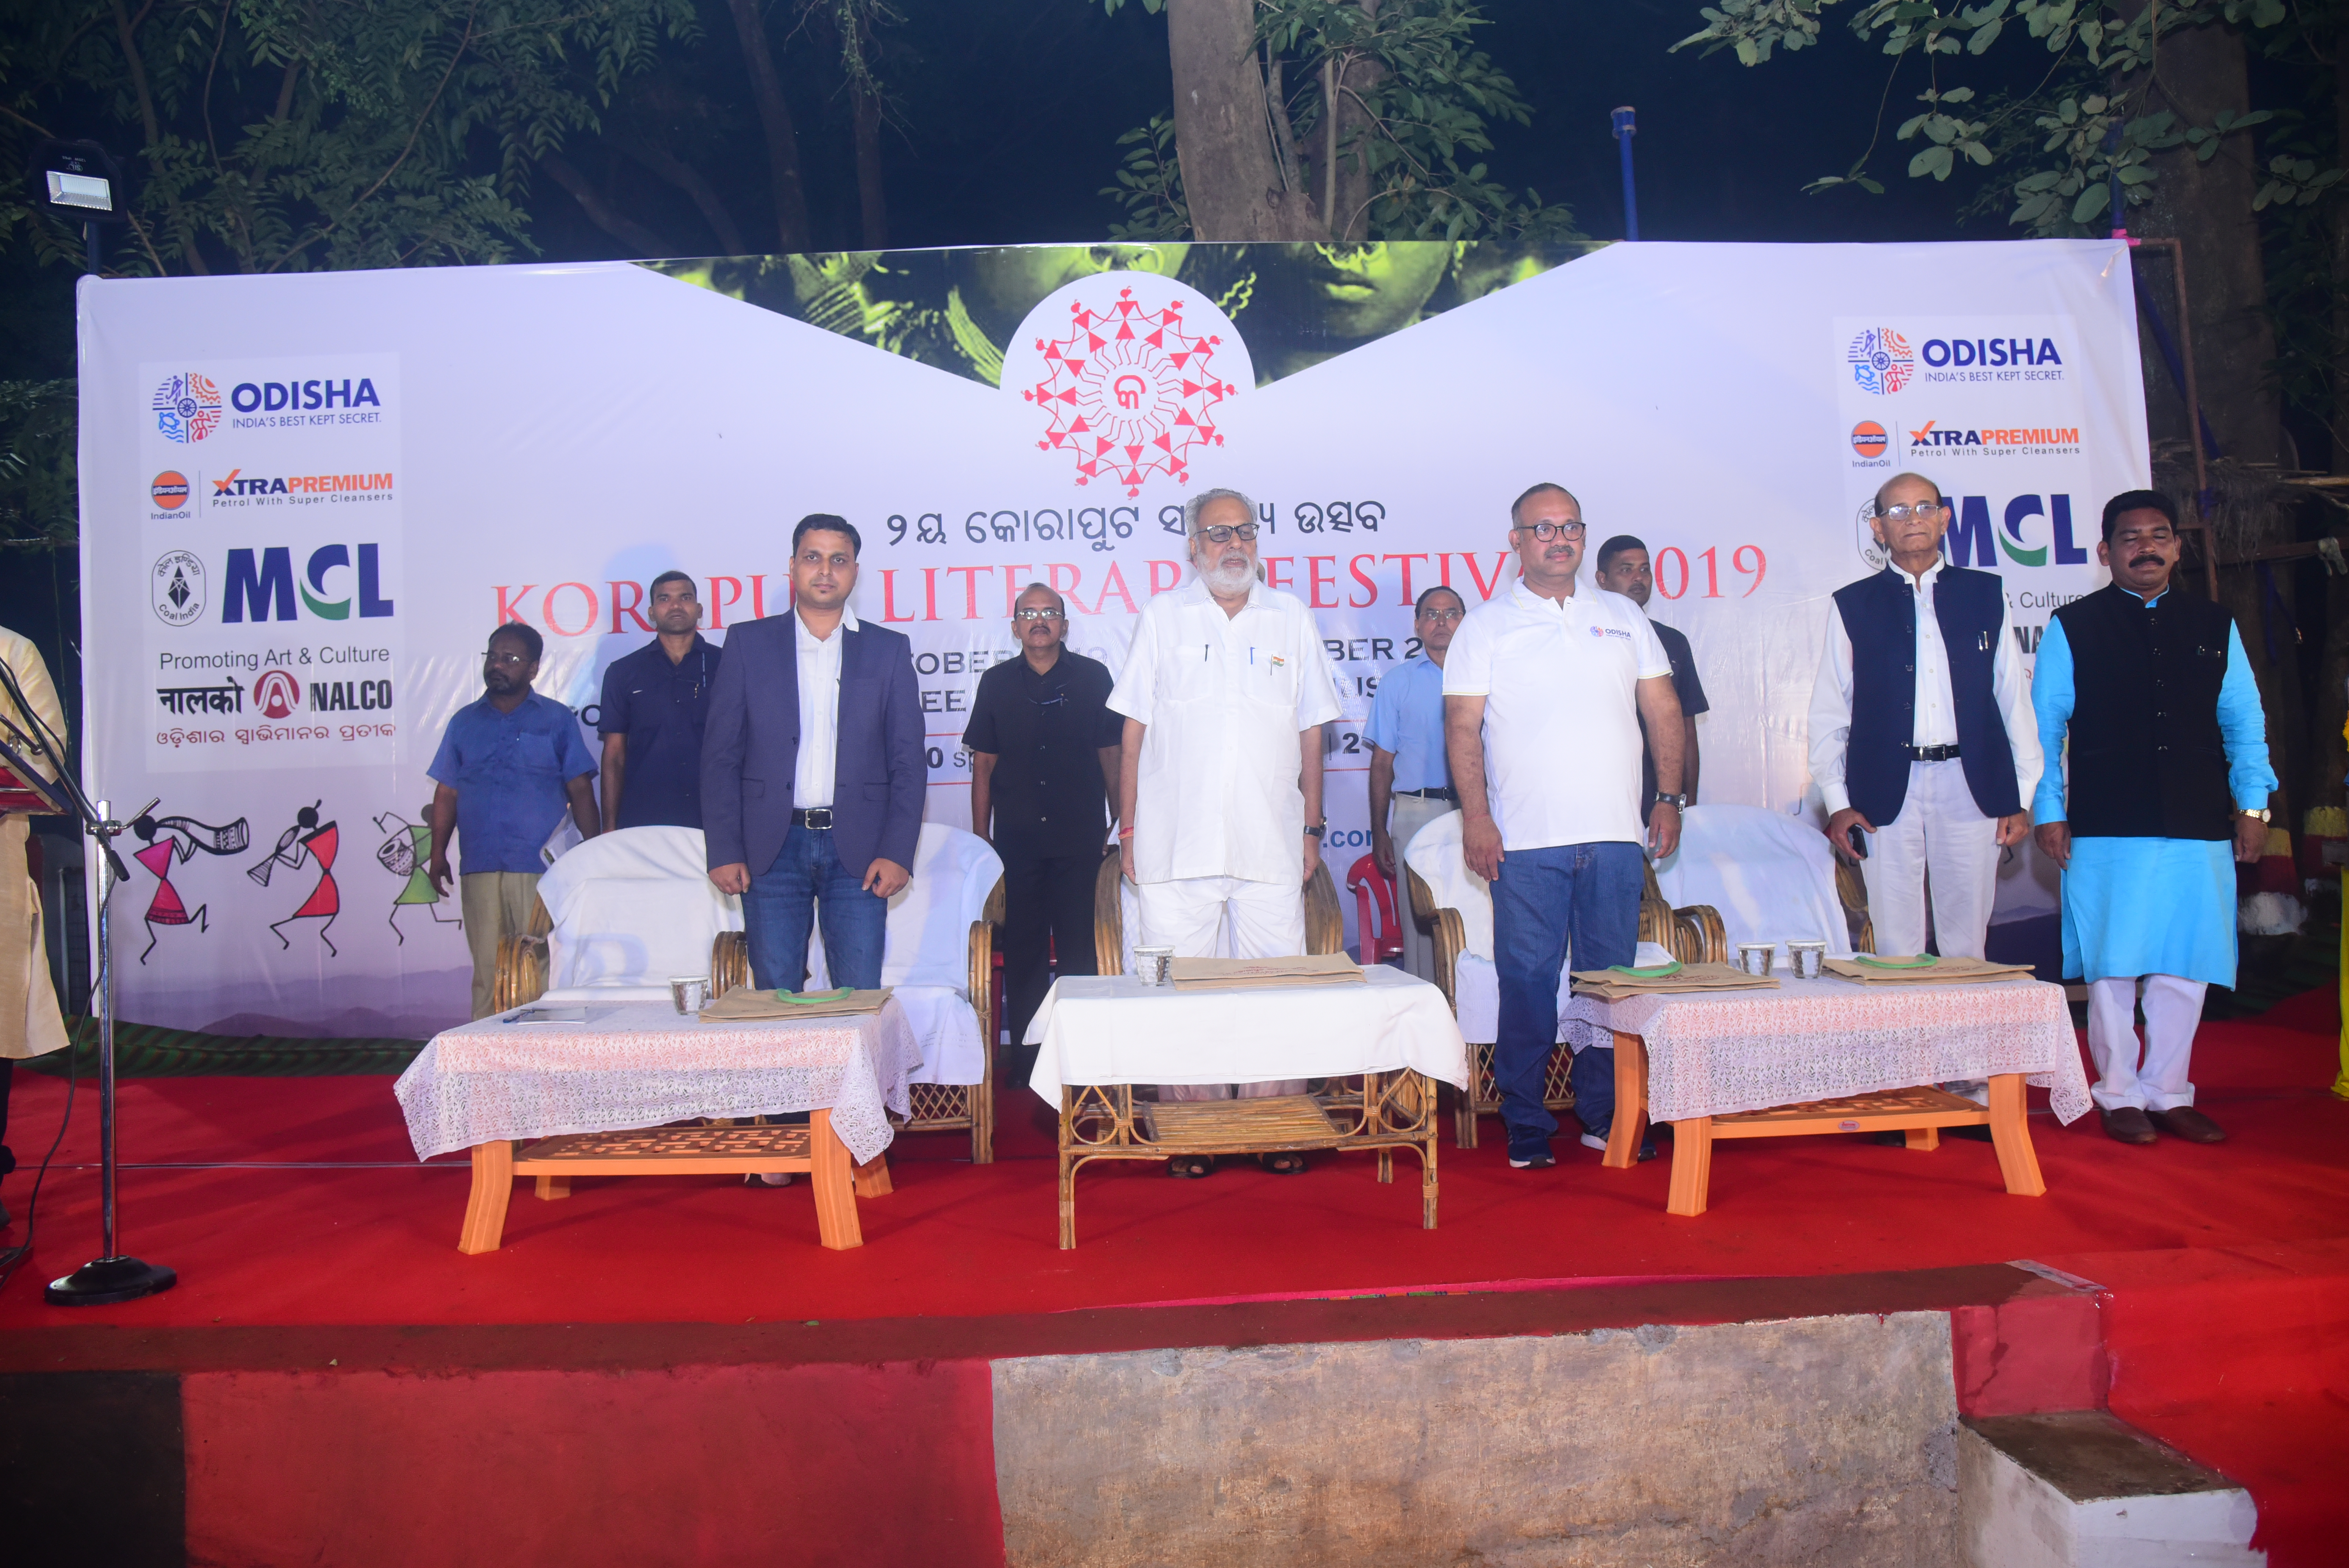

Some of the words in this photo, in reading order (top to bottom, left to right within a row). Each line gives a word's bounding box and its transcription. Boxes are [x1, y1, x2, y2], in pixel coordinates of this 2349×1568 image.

[1920, 332, 2065, 369] ODISHA
[1922, 370, 1968, 385] INDIA
[1966, 371, 1994, 385] BEST
[1994, 369, 2022, 384] KEPT
[2022, 368, 2066, 383] SECRET.
[231, 372, 385, 419] ODISHA
[228, 412, 282, 434] INDIA
[277, 412, 306, 432] BEST
[307, 409, 340, 428] KEPT
[337, 410, 381, 429] SECRET.
[1850, 428, 1888, 445] इंडियन ऑयल
[1911, 419, 2080, 448] XTRAPREMIUM
[1852, 459, 1894, 469] IndianOil
[1909, 447, 1948, 459] Petrol
[1950, 446, 1978, 459] With
[1979, 443, 2016, 458] Super
[2019, 444, 2082, 457] Cleansers
[147, 479, 191, 501] इंडियनऑयल
[207, 495, 251, 513] Petrol
[254, 494, 286, 507] With
[208, 466, 397, 498] XTRAPREMIUM
[287, 494, 328, 508] Super
[327, 489, 396, 508] Cleansers
[147, 511, 194, 523] IndianOil
[881, 501, 950, 554] ୨ୟ
[962, 499, 1143, 558] କୋରାପୁଟ
[1289, 500, 1392, 538] ଉତ୍ସବ
[1927, 492, 2091, 571] MCL
[153, 555, 178, 579] कोल
[173, 548, 203, 578] इण्डिया
[1640, 531, 1768, 605] 019
[218, 542, 396, 625] MCL
[873, 551, 1184, 628] LITERAP
[155, 600, 203, 622] Coalndia
[490, 571, 797, 642] KORPU
[155, 649, 260, 673] Promoting
[258, 645, 297, 671] Art
[295, 646, 315, 666] &
[315, 638, 397, 668] Culture
[913, 649, 1020, 679] OBER
[153, 669, 247, 718] नालको
[308, 675, 397, 716] NALCO
[152, 720, 230, 753] ଓଡ଼ିଶାର
[229, 718, 334, 750] ସ୍ଵାଭିମାନର
[332, 722, 400, 743] ପ୍ରତୀକ